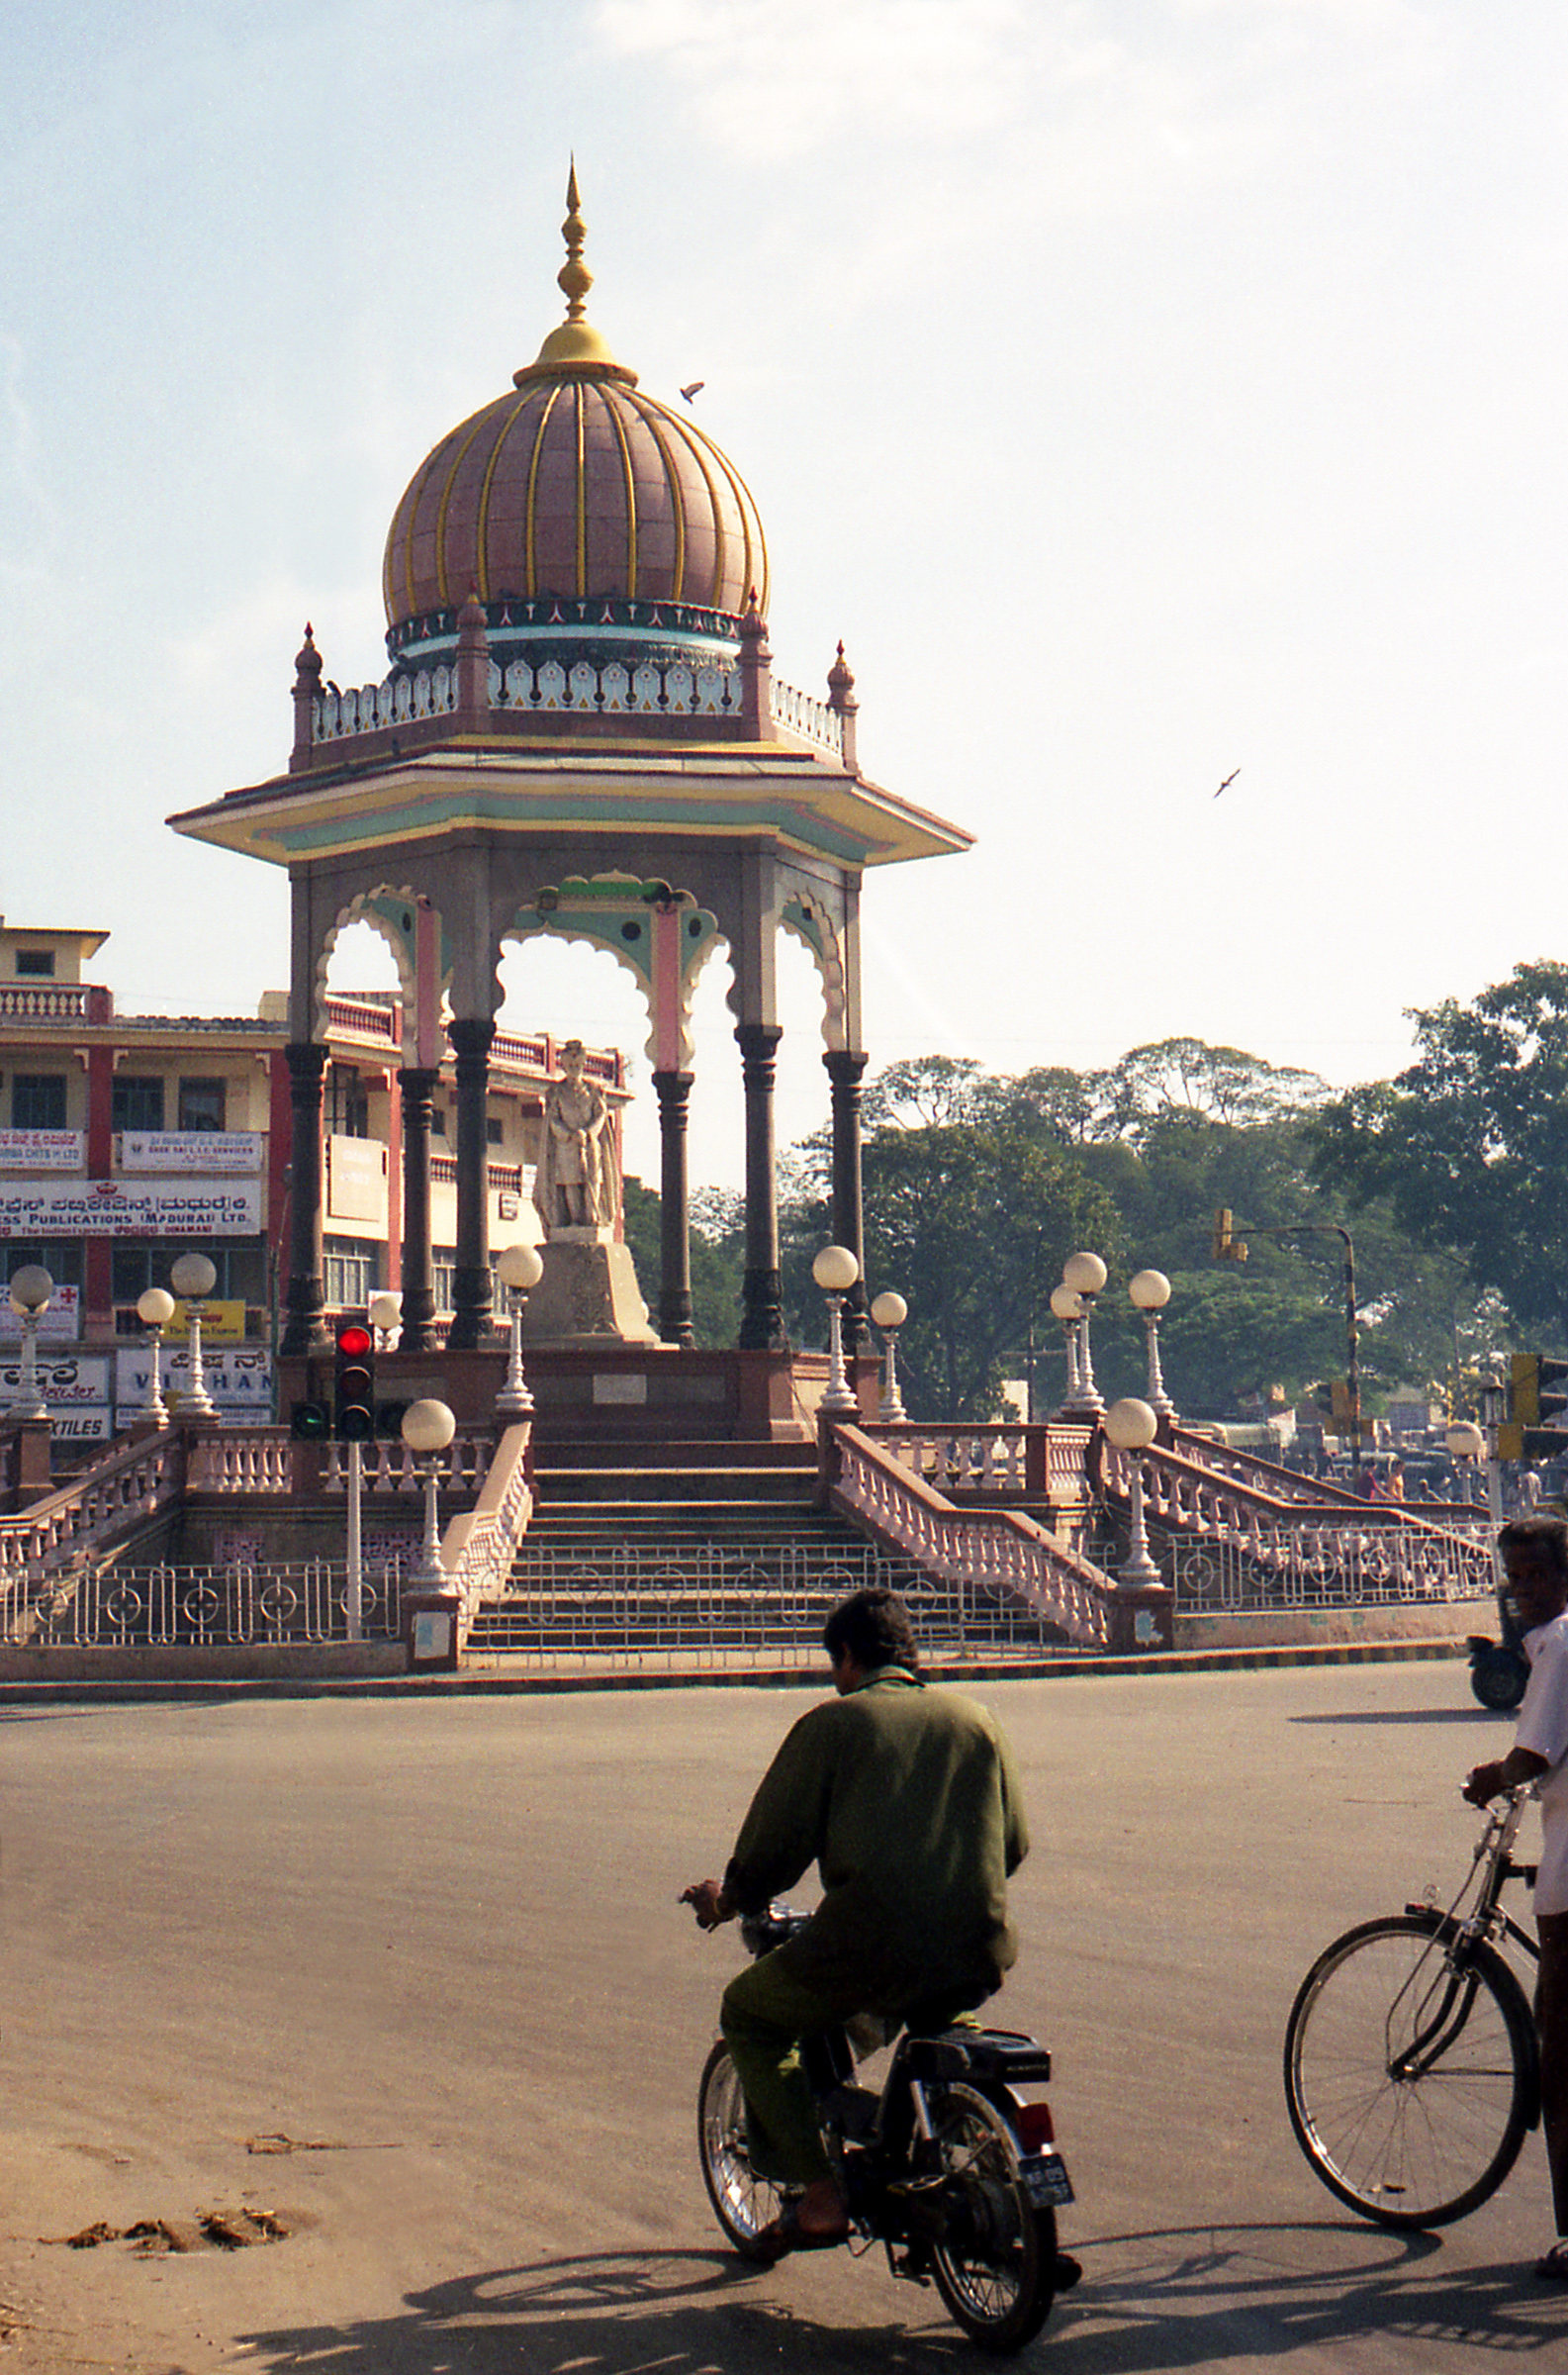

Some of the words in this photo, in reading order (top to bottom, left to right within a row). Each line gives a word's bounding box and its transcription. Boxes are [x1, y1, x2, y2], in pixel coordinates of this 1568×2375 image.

[46, 1187, 157, 1219] ಪಟ್ಲಕೇಷನ್
[155, 1188, 255, 1215] ಮಧುರೆಲಿ.
[23, 1209, 138, 1230] PUBLICATIONS
[143, 1209, 219, 1227] MADURAU
[217, 1207, 252, 1230] LTD.